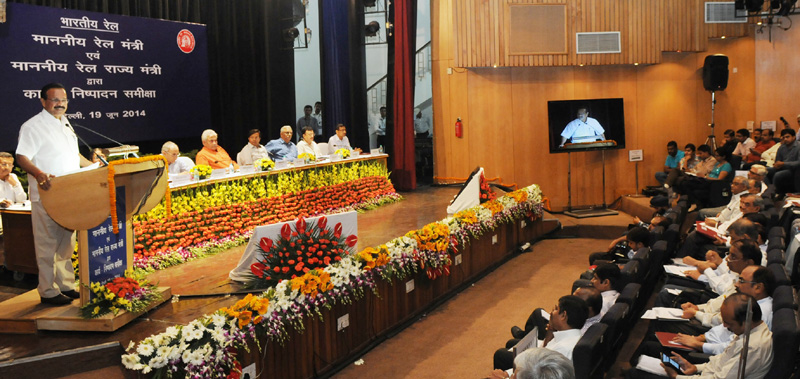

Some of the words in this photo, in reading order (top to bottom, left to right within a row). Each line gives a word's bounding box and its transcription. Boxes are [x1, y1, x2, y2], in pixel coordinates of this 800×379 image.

[56, 9, 102, 33] भारतीय
[95, 13, 123, 33] रेल
[26, 27, 91, 51] माननीय
[91, 35, 114, 51] रेल
[117, 33, 148, 55] मंत्री
[7, 49, 71, 79] माननीय
[67, 54, 102, 80] रेल
[100, 59, 138, 77] राज्य
[132, 57, 169, 80] मंत्री
[18, 84, 45, 103] का
[67, 82, 122, 107] निष्पादन
[119, 82, 159, 101] समीक्षा
[85, 107, 107, 123] 19
[102, 107, 124, 126] जून
[117, 106, 151, 123] 2014